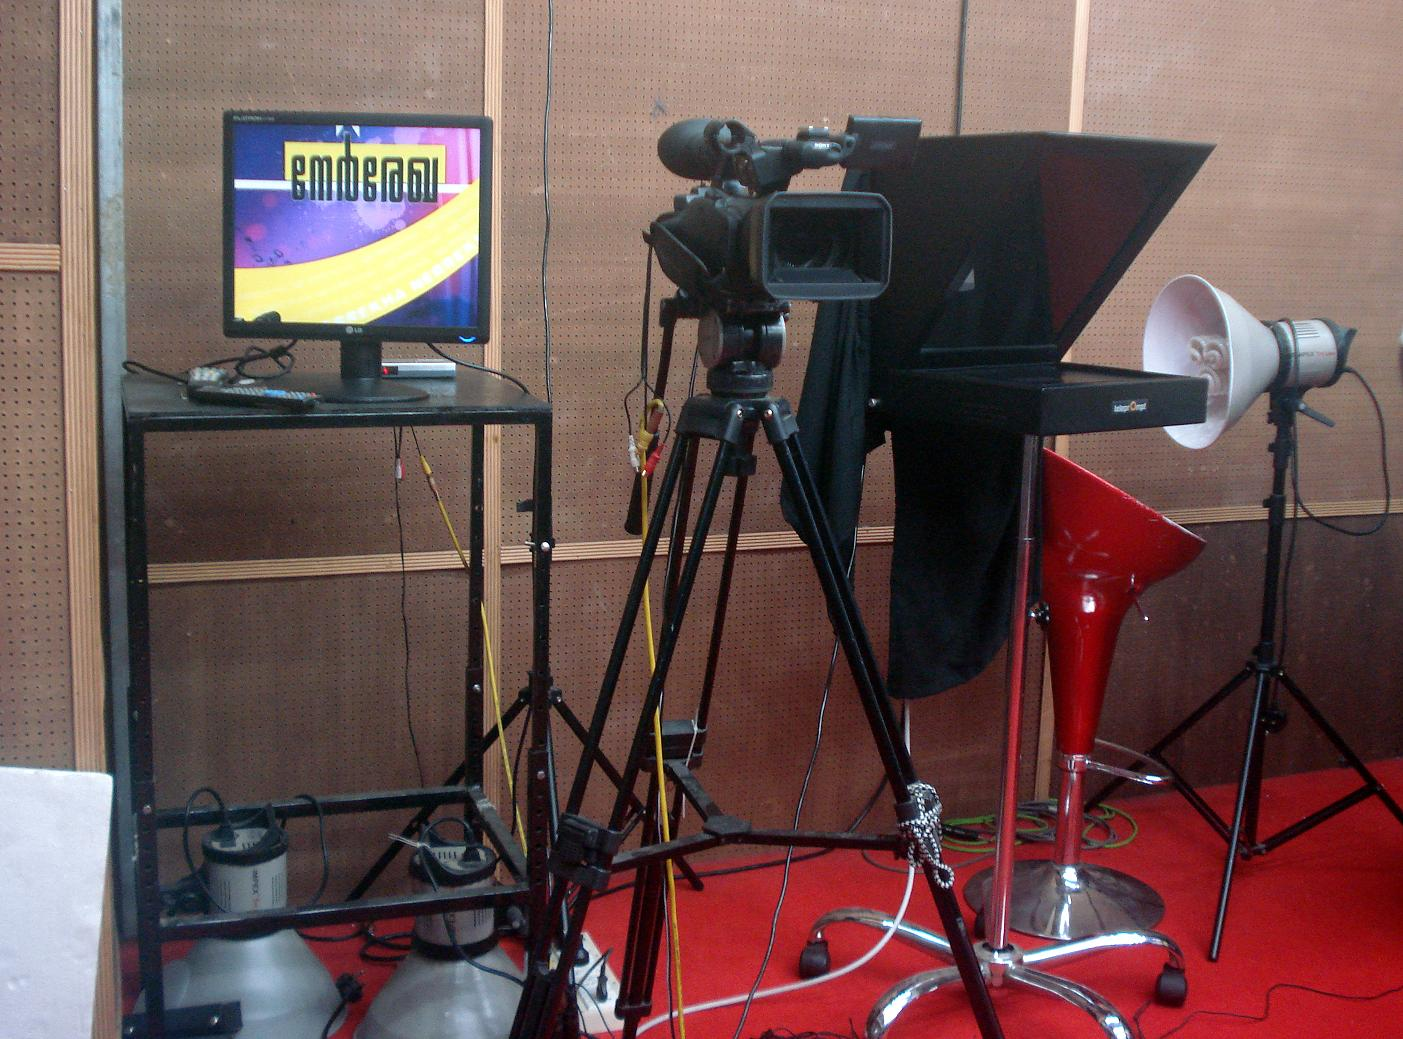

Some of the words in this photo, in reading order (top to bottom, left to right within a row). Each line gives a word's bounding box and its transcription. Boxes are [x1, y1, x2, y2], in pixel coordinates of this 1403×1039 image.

[287, 127, 441, 208] നേർരേഖ